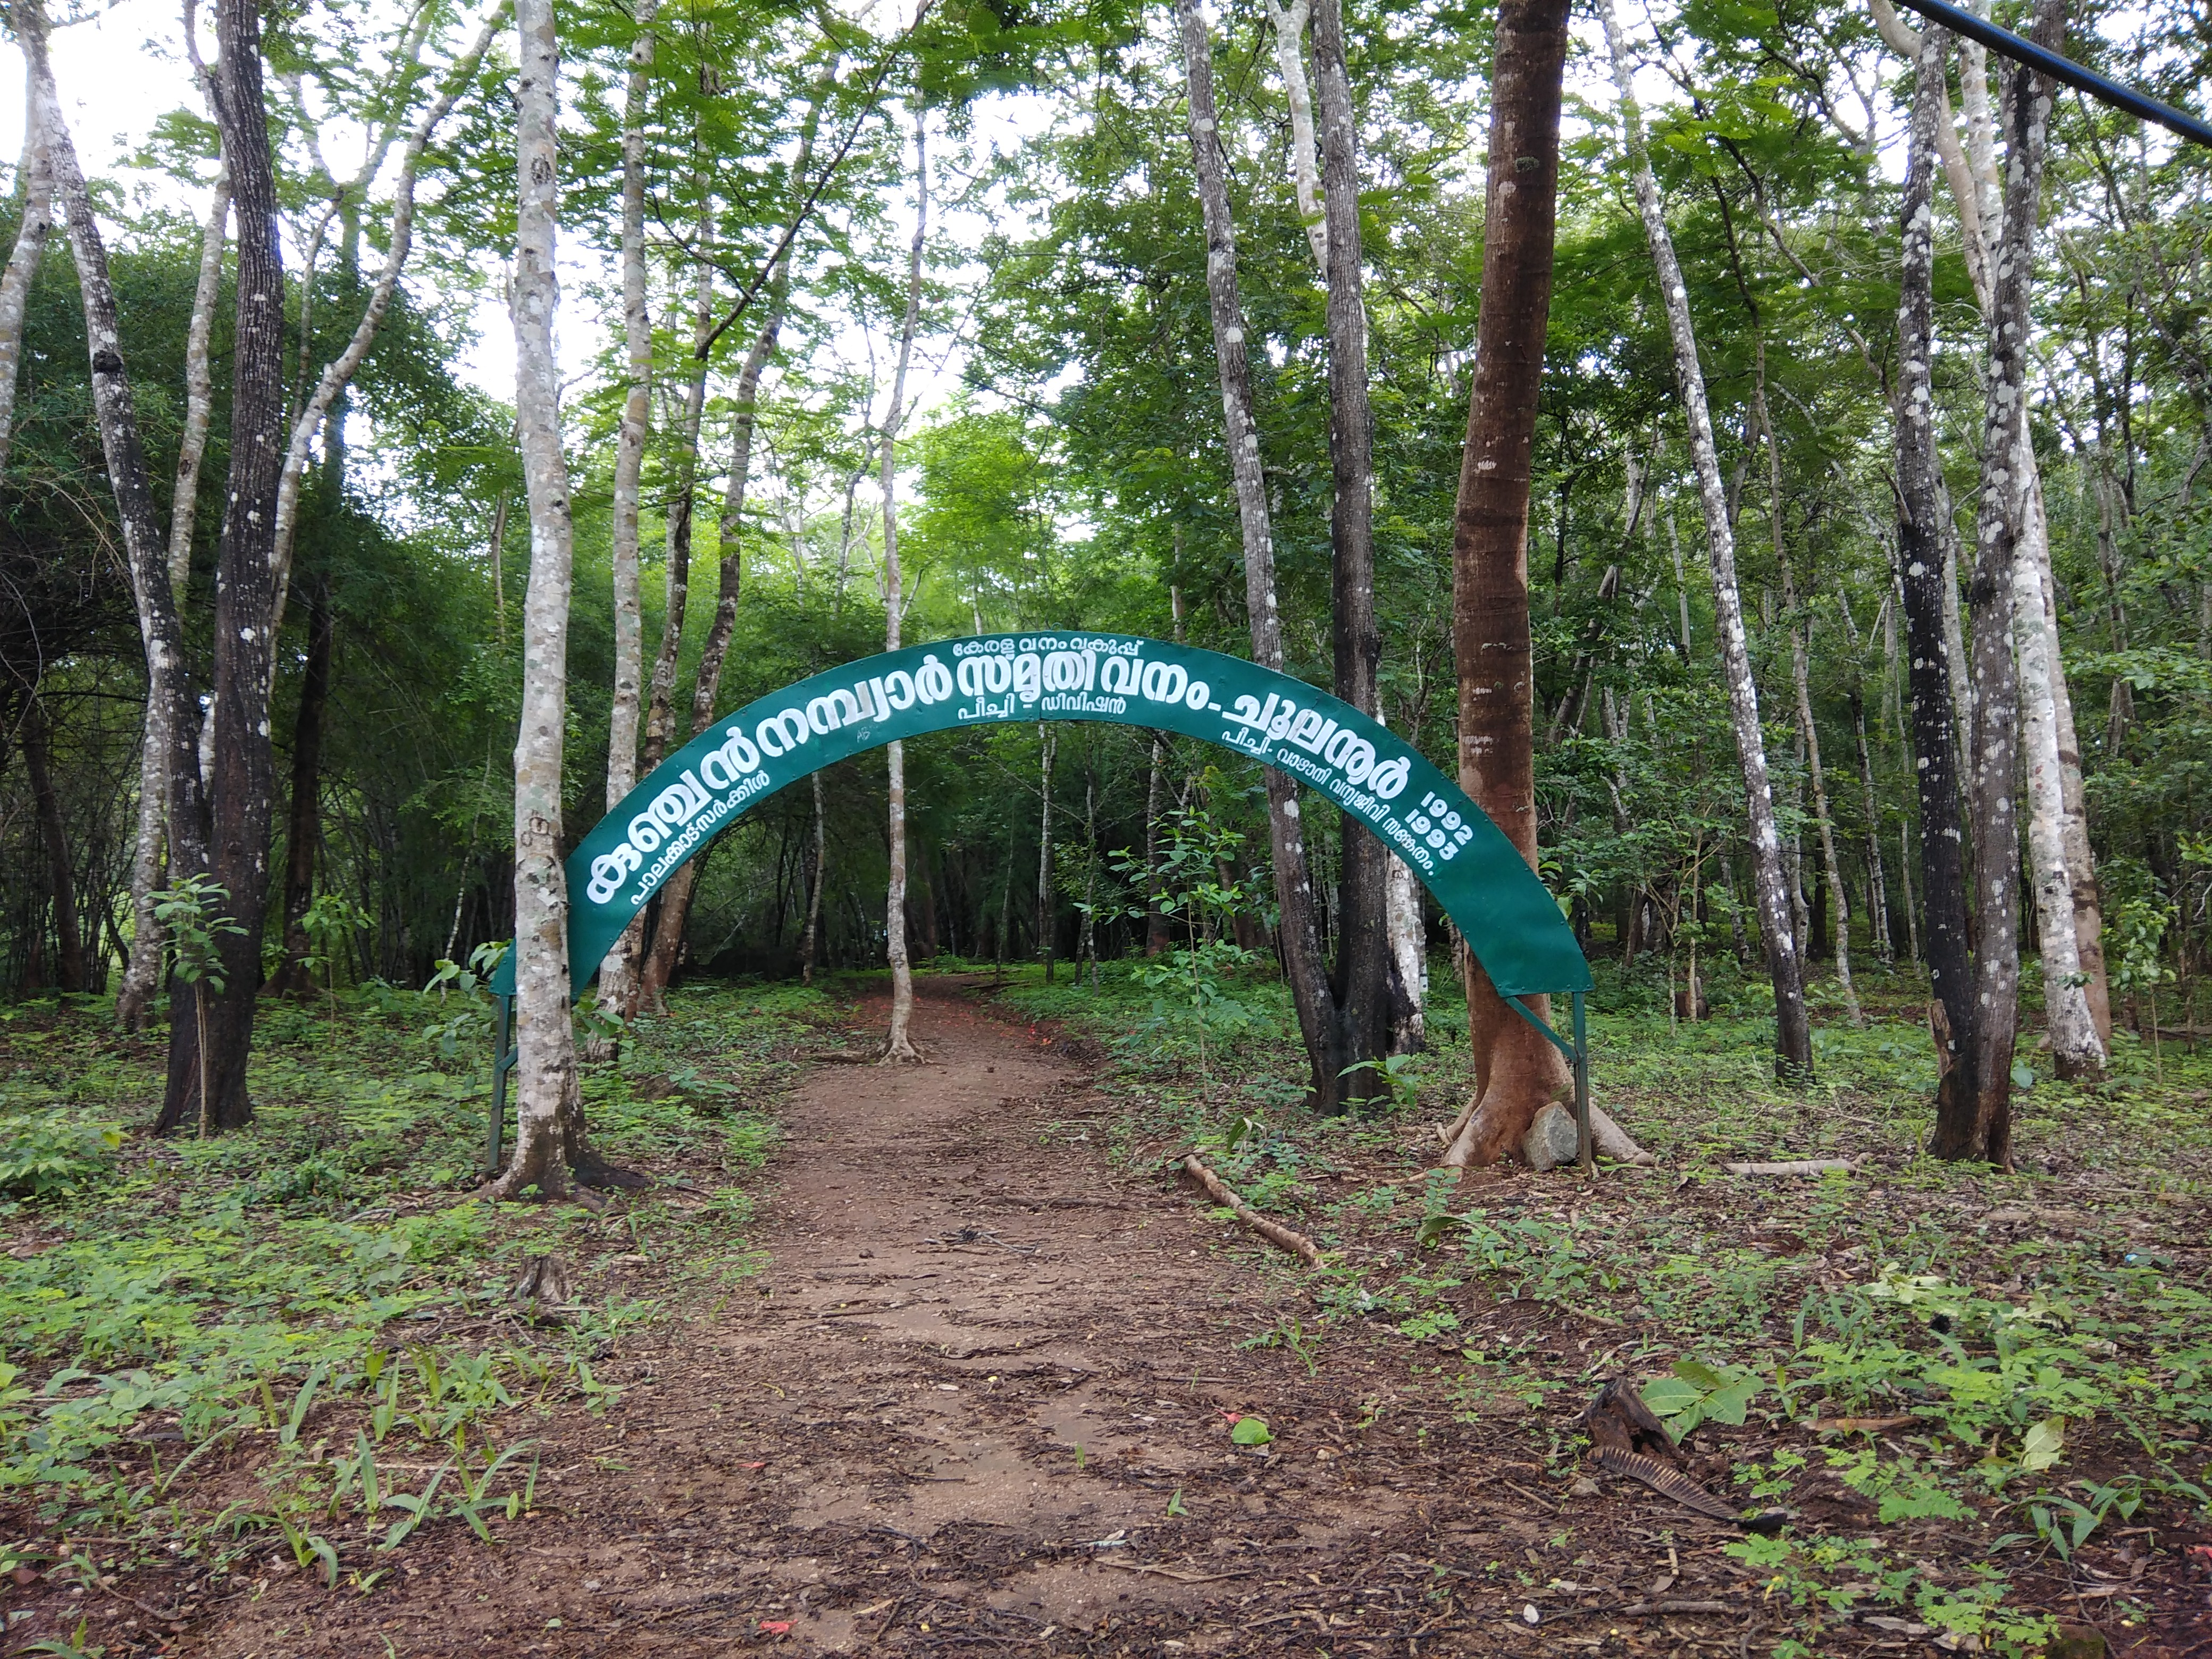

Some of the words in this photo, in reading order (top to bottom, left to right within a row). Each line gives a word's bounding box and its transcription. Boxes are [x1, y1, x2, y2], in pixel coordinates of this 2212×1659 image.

[694, 647, 956, 794] ൻനമ്പ്വാർ
[949, 635, 1018, 661] കേരള
[949, 690, 1019, 723] പീച്ചി
[1017, 632, 1144, 658] വനംവകുഷ്
[952, 642, 1213, 713] സ്മൃതി വനം
[1041, 687, 1132, 718] ഡിവിഷൻ
[1217, 723, 1275, 759] പീച്ചി
[1275, 741, 1335, 788] വാഴാനി
[1219, 689, 1415, 803] ചൂലനൂർ
[581, 765, 714, 908] കുഞ്ച
[1326, 774, 1393, 827] വന്യജീവി
[1378, 815, 1438, 879] സങ്കേതം
[1400, 805, 1462, 865] 1995
[1417, 787, 1478, 849] 1992